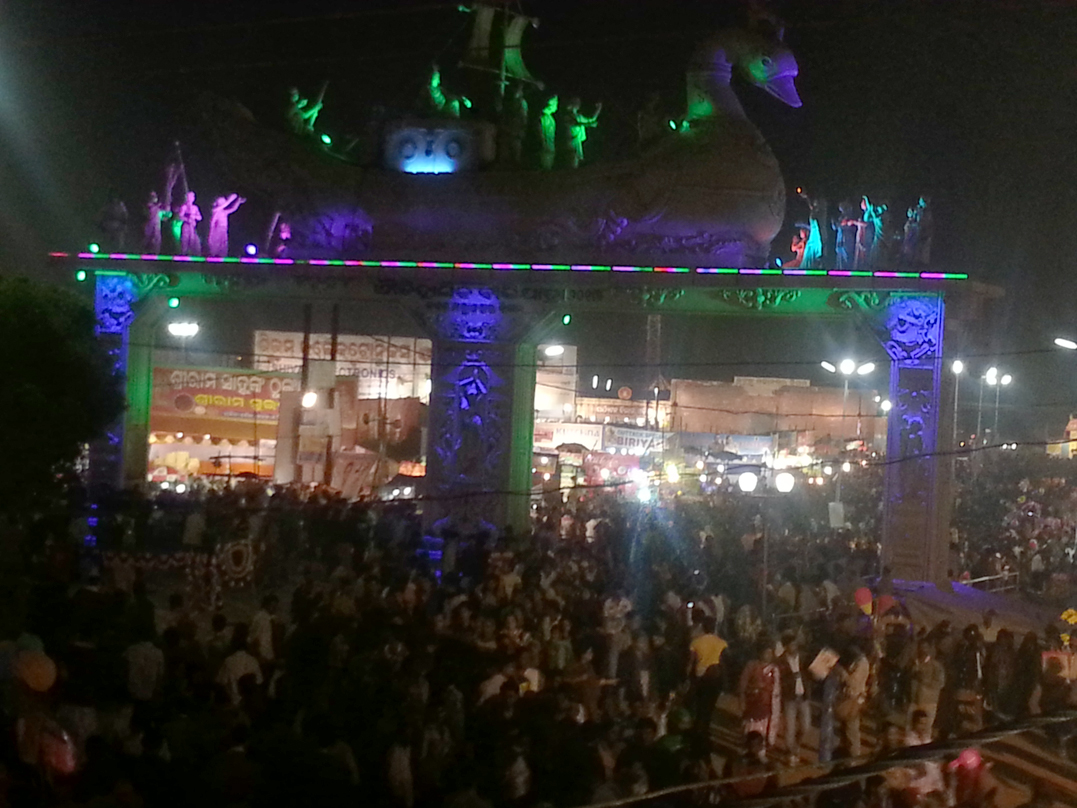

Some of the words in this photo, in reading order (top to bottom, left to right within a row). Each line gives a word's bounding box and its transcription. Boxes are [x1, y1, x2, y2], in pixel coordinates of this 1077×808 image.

[165, 364, 227, 397] ଶ୍ରୀରାମ
[187, 387, 247, 413] ଶ୍ରୀରାମ